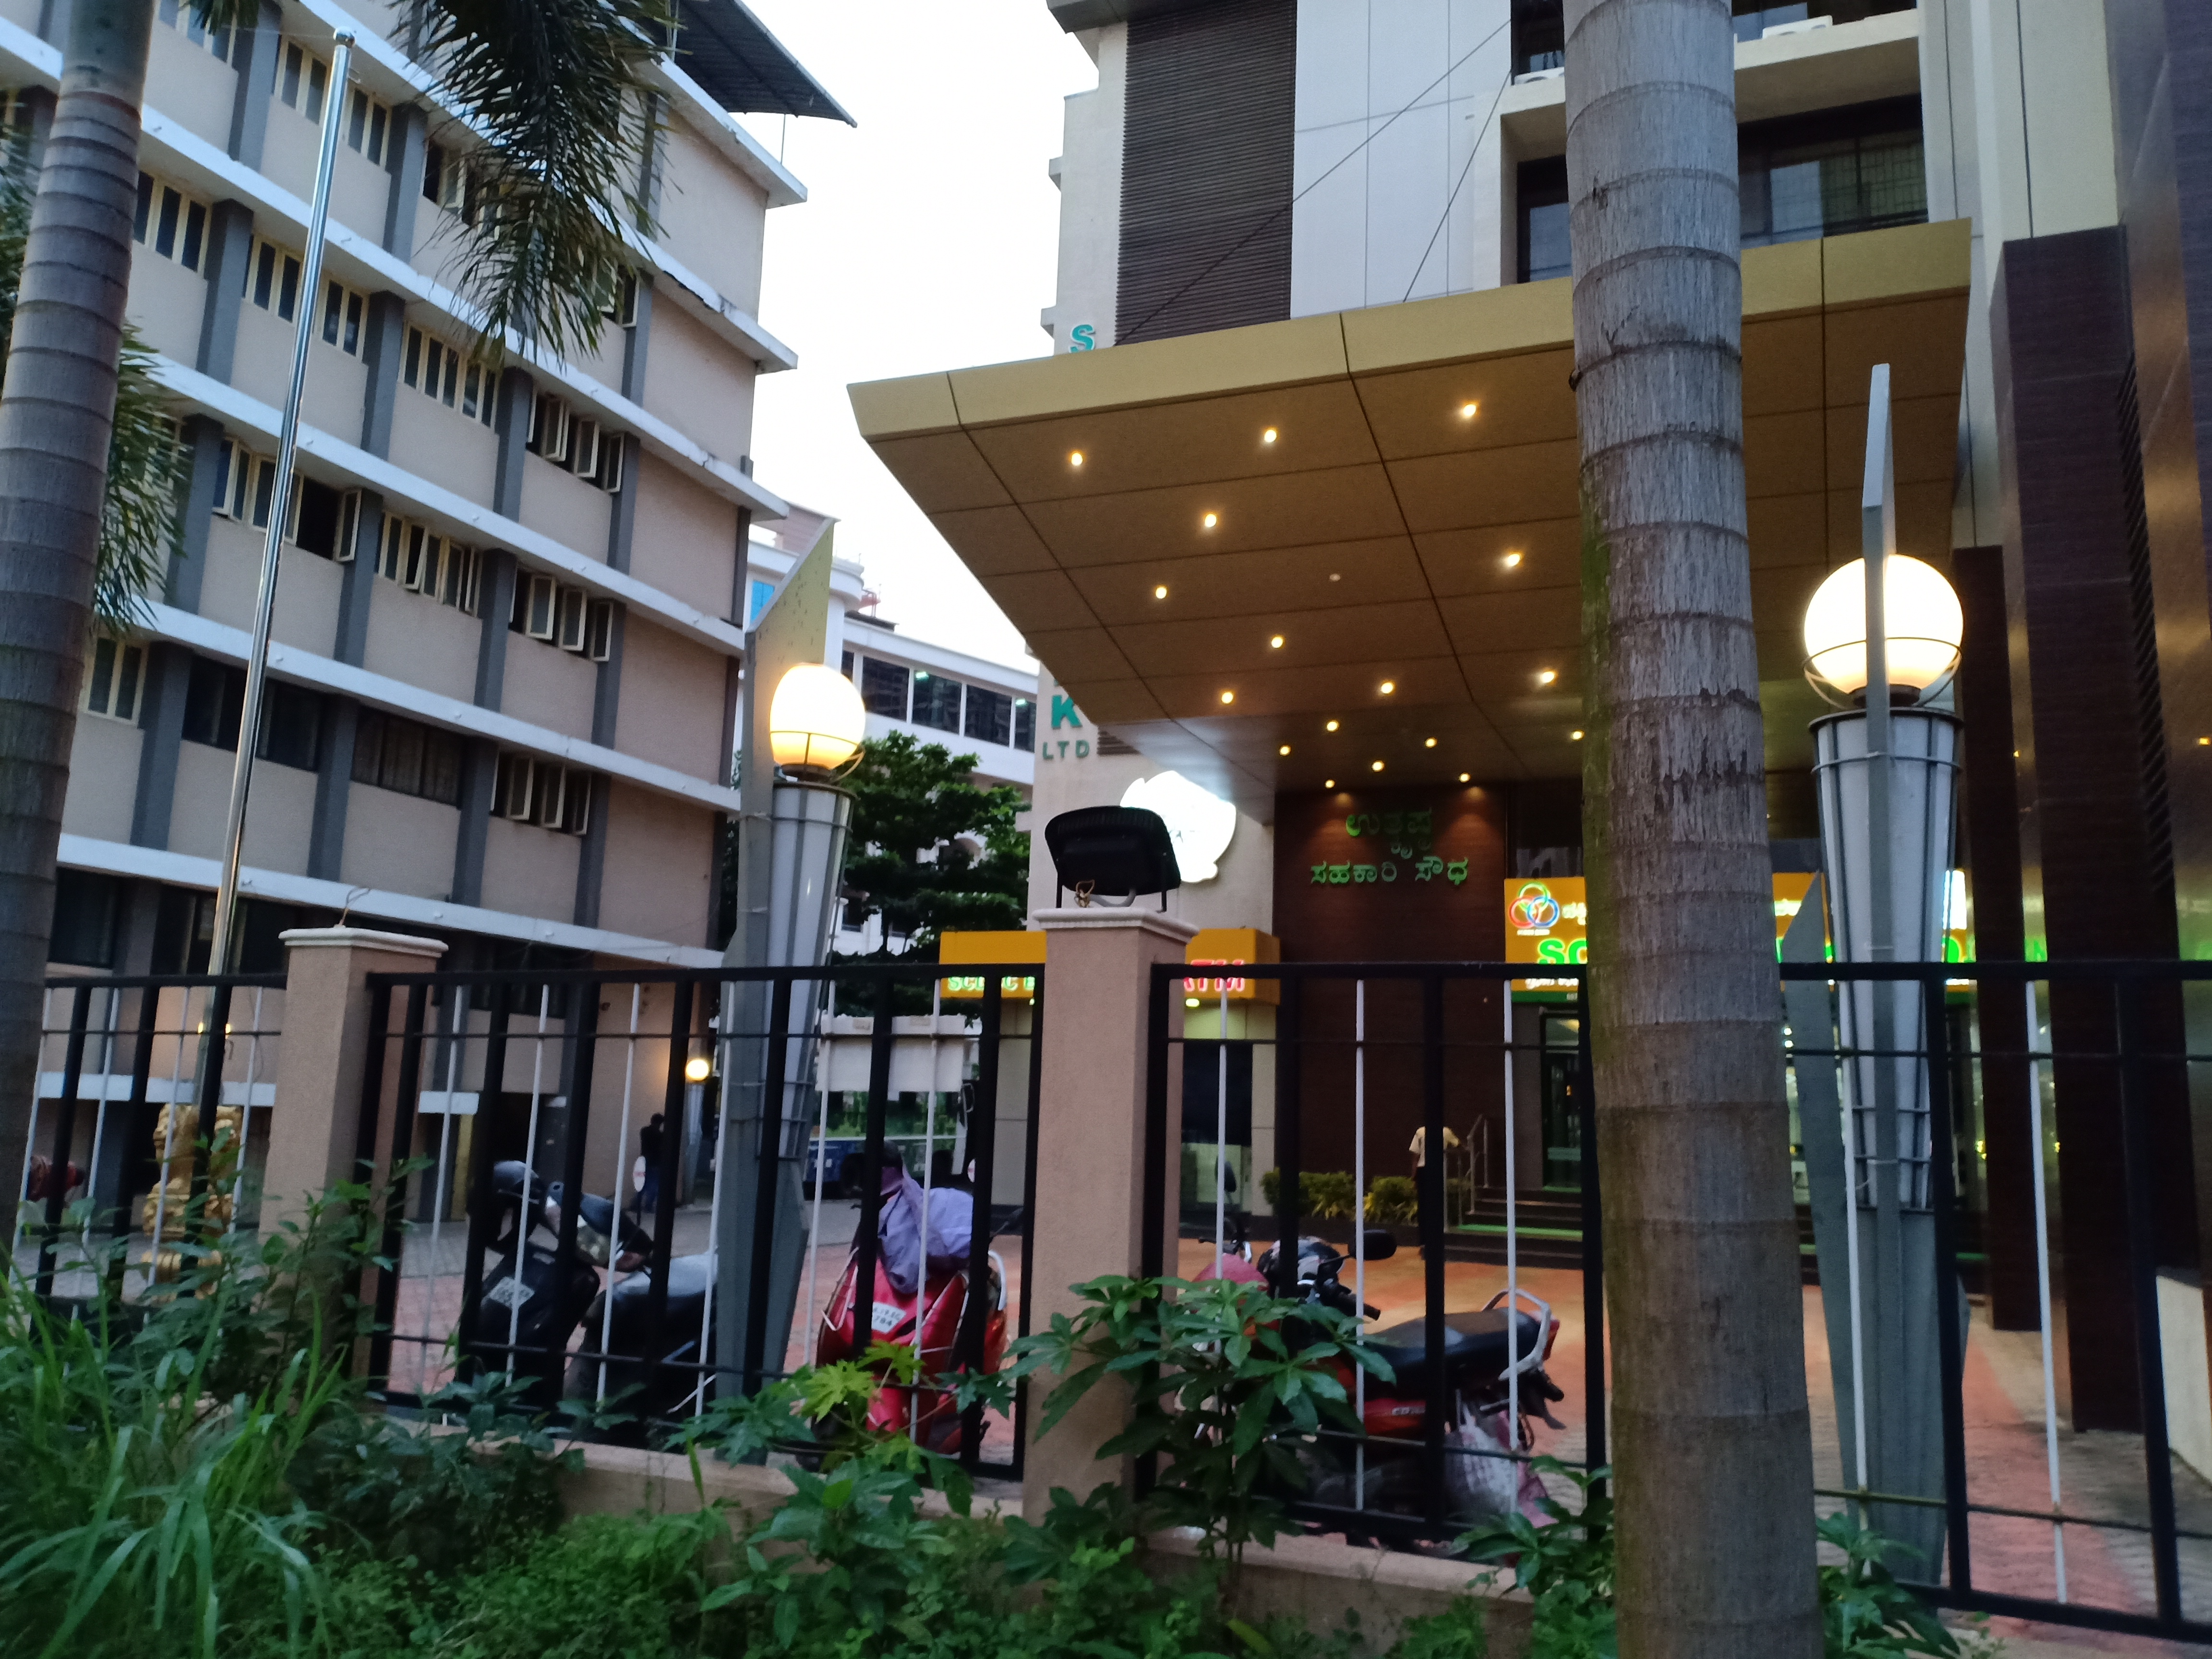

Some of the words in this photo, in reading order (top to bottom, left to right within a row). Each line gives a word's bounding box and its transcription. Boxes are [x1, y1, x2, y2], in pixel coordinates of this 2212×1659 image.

[1343, 802, 1438, 865] ಉತ್ಕೃಷ್ಠ
[1304, 855, 1402, 888] ಸಹಕಾರಿ
[1407, 848, 1471, 891] ಸೌಧ